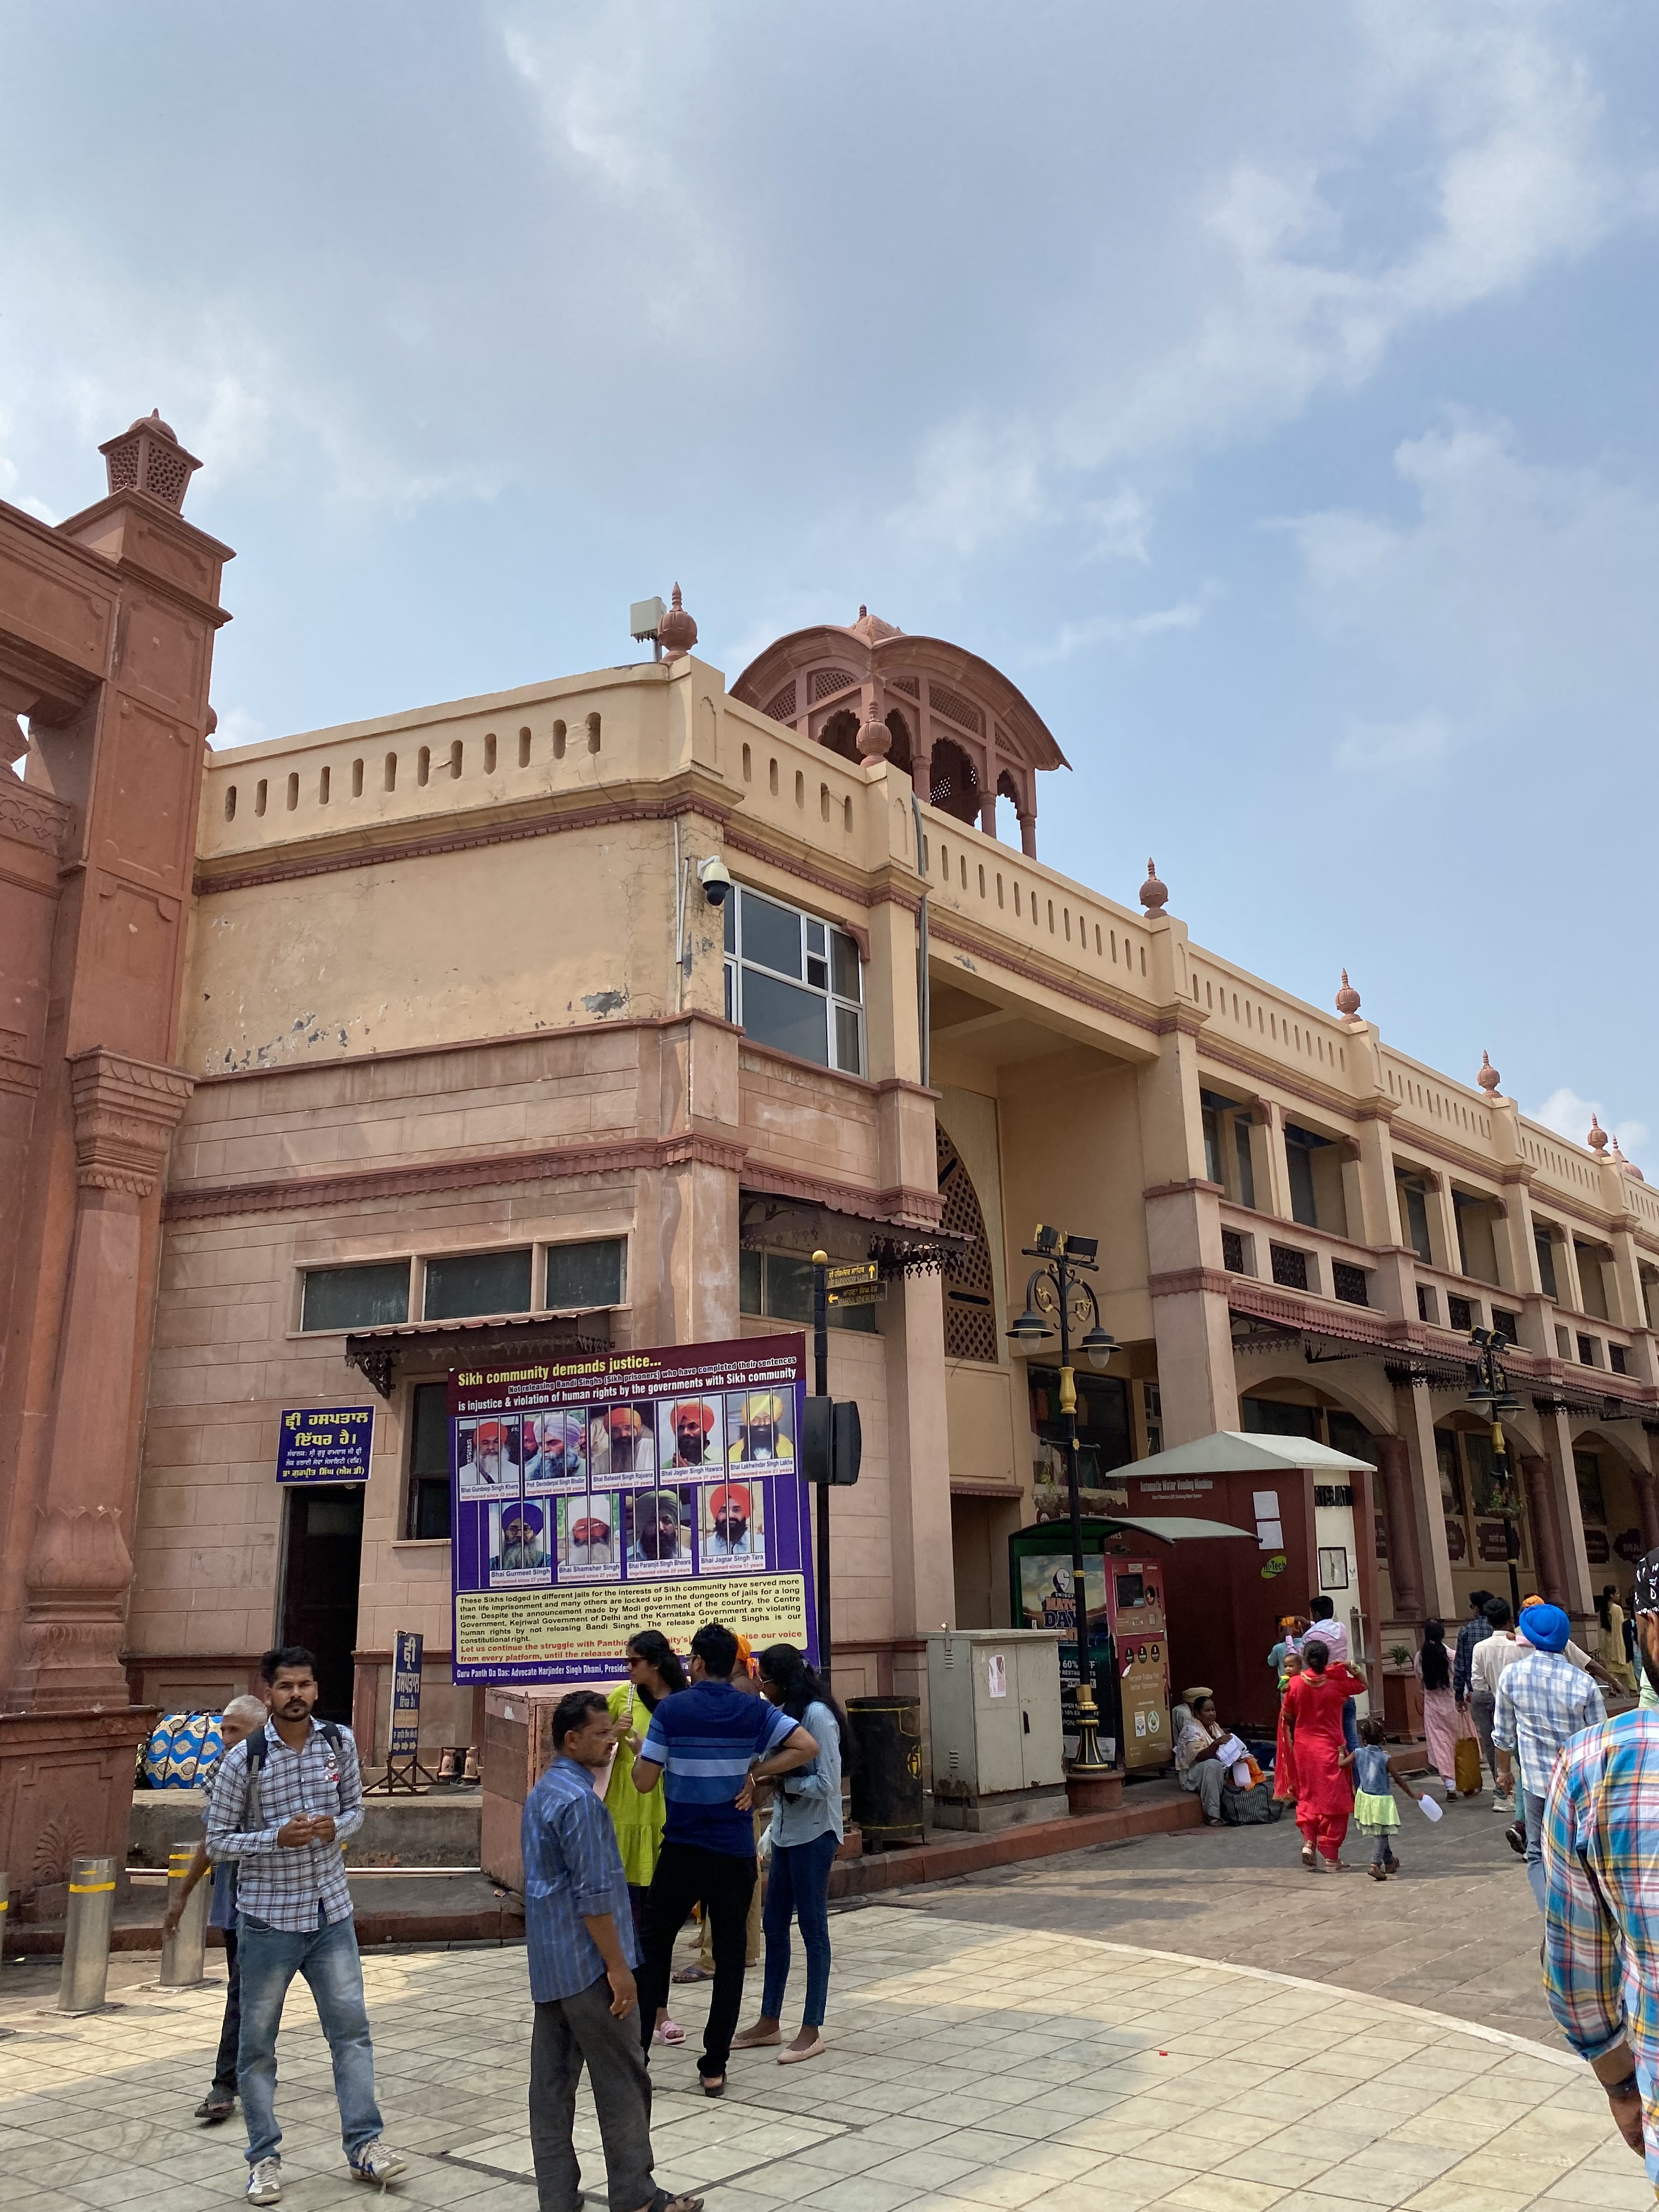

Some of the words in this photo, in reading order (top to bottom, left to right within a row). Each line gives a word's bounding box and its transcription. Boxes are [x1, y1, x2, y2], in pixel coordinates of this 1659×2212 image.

[457, 1400, 467, 1414] is
[455, 1369, 485, 1388] Sikh
[467, 1396, 504, 1413] injustice
[503, 1395, 513, 1410] &
[484, 1362, 552, 1385] community
[506, 1379, 556, 1396] Not releasing
[512, 1392, 550, 1408] violation
[550, 1390, 562, 1403] of
[556, 1376, 579, 1389] Bandi
[561, 1389, 592, 1403] human
[551, 1356, 608, 1378] demands
[579, 1375, 605, 1388] Singhs
[591, 1386, 619, 1402] rights
[607, 1372, 624, 1384] Sikh
[618, 1384, 630, 1398] by
[607, 1350, 664, 1374] justice...
[630, 1383, 647, 1396] the
[623, 1371, 659, 1384] prisoners)
[661, 1367, 678, 1380] who
[647, 1376, 706, 1396] governments
[678, 1366, 698, 1377] have
[704, 1373, 726, 1387] with
[698, 1359, 740, 1374] completed
[725, 1372, 747, 1386] Sikh
[737, 1358, 758, 1370] their
[747, 1366, 799, 1384] community
[757, 1353, 799, 1368] sentences
[304, 1405, 372, 1427] ਹਸ੫ਤਾਲ
[281, 1410, 305, 1434] ਫ੍ਰੀ
[291, 1430, 336, 1448] ਇੱਧਰ
[336, 1426, 353, 1447] ਹੈ
[699, 1556, 715, 1565] Bhai
[714, 1554, 733, 1565] Jagtar
[733, 1552, 752, 1563] Singh
[751, 1553, 765, 1562] Tara
[490, 1570, 506, 1579] Bhai
[505, 1568, 533, 1579] Gurmeet
[532, 1567, 551, 1576] Singh
[558, 1565, 573, 1573] Bhal
[571, 1564, 603, 1573] Shamsher
[603, 1562, 620, 1572] Singh
[400, 1634, 419, 1672] ਫूੀ
[457, 1645, 475, 1654] Let
[459, 1605, 477, 1613] than
[459, 1612, 477, 1621] time
[459, 1654, 480, 1664] from
[460, 1594, 482, 1605] These
[458, 1628, 487, 1638] human
[474, 1644, 487, 1654] us
[459, 1619, 507, 1629] Government,
[476, 1604, 491, 1612] life
[458, 1635, 510, 1646] constitutional
[479, 1654, 504, 1664] every
[482, 1595, 505, 1605] Sikhs
[477, 1611, 511, 1621] Despite
[486, 1627, 512, 1635] rights
[486, 1643, 523, 1654] continue
[490, 1601, 543, 1611] imprisonment
[505, 1594, 532, 1604] lodged
[511, 1610, 527, 1618] the
[514, 1627, 527, 1635] by
[511, 1635, 532, 1644] right.
[504, 1652, 543, 1663] platform,
[506, 1618, 544, 1627] Kejriwal
[524, 1642, 539, 1652] the
[532, 1593, 541, 1602] in
[527, 1625, 546, 1635] not
[543, 1600, 561, 1610] and
[525, 1607, 583, 1619] announcement
[543, 1651, 565, 1662] until
[538, 1639, 575, 1651] struggle
[540, 1591, 574, 1601] different
[544, 1623, 583, 1634] releasing
[542, 1614, 589, 1624] Government
[560, 1600, 583, 1609] many
[565, 1650, 579, 1660] the
[573, 1590, 590, 1600] jails
[575, 1638, 597, 1649] with
[589, 1615, 600, 1623] of
[583, 1606, 608, 1615] made
[583, 1597, 609, 1607] others
[579, 1649, 613, 1659] release
[590, 1589, 603, 1598] for
[584, 1622, 609, 1632] Bandi
[603, 1588, 617, 1598] the
[600, 1613, 623, 1623] Delhi
[607, 1606, 622, 1615] by
[608, 1597, 624, 1605] are
[613, 1647, 625, 1659] of
[612, 1621, 641, 1630] Singhs
[622, 1612, 640, 1622] and
[620, 1604, 643, 1613] Modi
[617, 1586, 652, 1597] interests
[624, 1594, 652, 1605] locked
[640, 1611, 655, 1620] the
[645, 1620, 663, 1629] The
[651, 1594, 663, 1604] up
[652, 1585, 663, 1595] of
[642, 1600, 693, 1612] government
[663, 1594, 674, 1604] in
[663, 1584, 682, 1593] Sikh
[654, 1609, 697, 1619] Karnataka
[665, 1617, 698, 1629] release
[674, 1592, 691, 1601] the
[692, 1600, 704, 1609] of
[698, 1616, 710, 1626] of
[681, 1581, 728, 1593] community
[690, 1591, 731, 1601] dungeons
[703, 1599, 720, 1609] the
[697, 1606, 749, 1617] Government
[710, 1615, 740, 1626] Bandi
[730, 1589, 743, 1599] of
[720, 1597, 754, 1609] country,
[727, 1581, 749, 1590] have
[740, 1588, 760, 1598] jails
[749, 1606, 763, 1615] are
[740, 1612, 772, 1626] Singhs
[754, 1595, 773, 1606] the
[748, 1578, 780, 1588] served
[760, 1586, 774, 1596] for
[760, 1630, 777, 1640] our
[773, 1586, 780, 1595] a
[771, 1613, 785, 1622] is
[764, 1602, 801, 1613] violating
[772, 1595, 802, 1605] Centre
[777, 1578, 800, 1587] more
[777, 1630, 803, 1640] voice
[780, 1586, 802, 1595] long
[784, 1612, 804, 1622] our
[455, 1667, 471, 1680] Guru
[470, 1666, 488, 1679] Panth
[488, 1666, 496, 1678] Da
[496, 1666, 510, 1679] Das:
[509, 1666, 539, 1678] Advocate
[538, 1664, 566, 1677] Harjinder
[565, 1664, 583, 1678] Singh
[583, 1661, 604, 1676] Dhami,